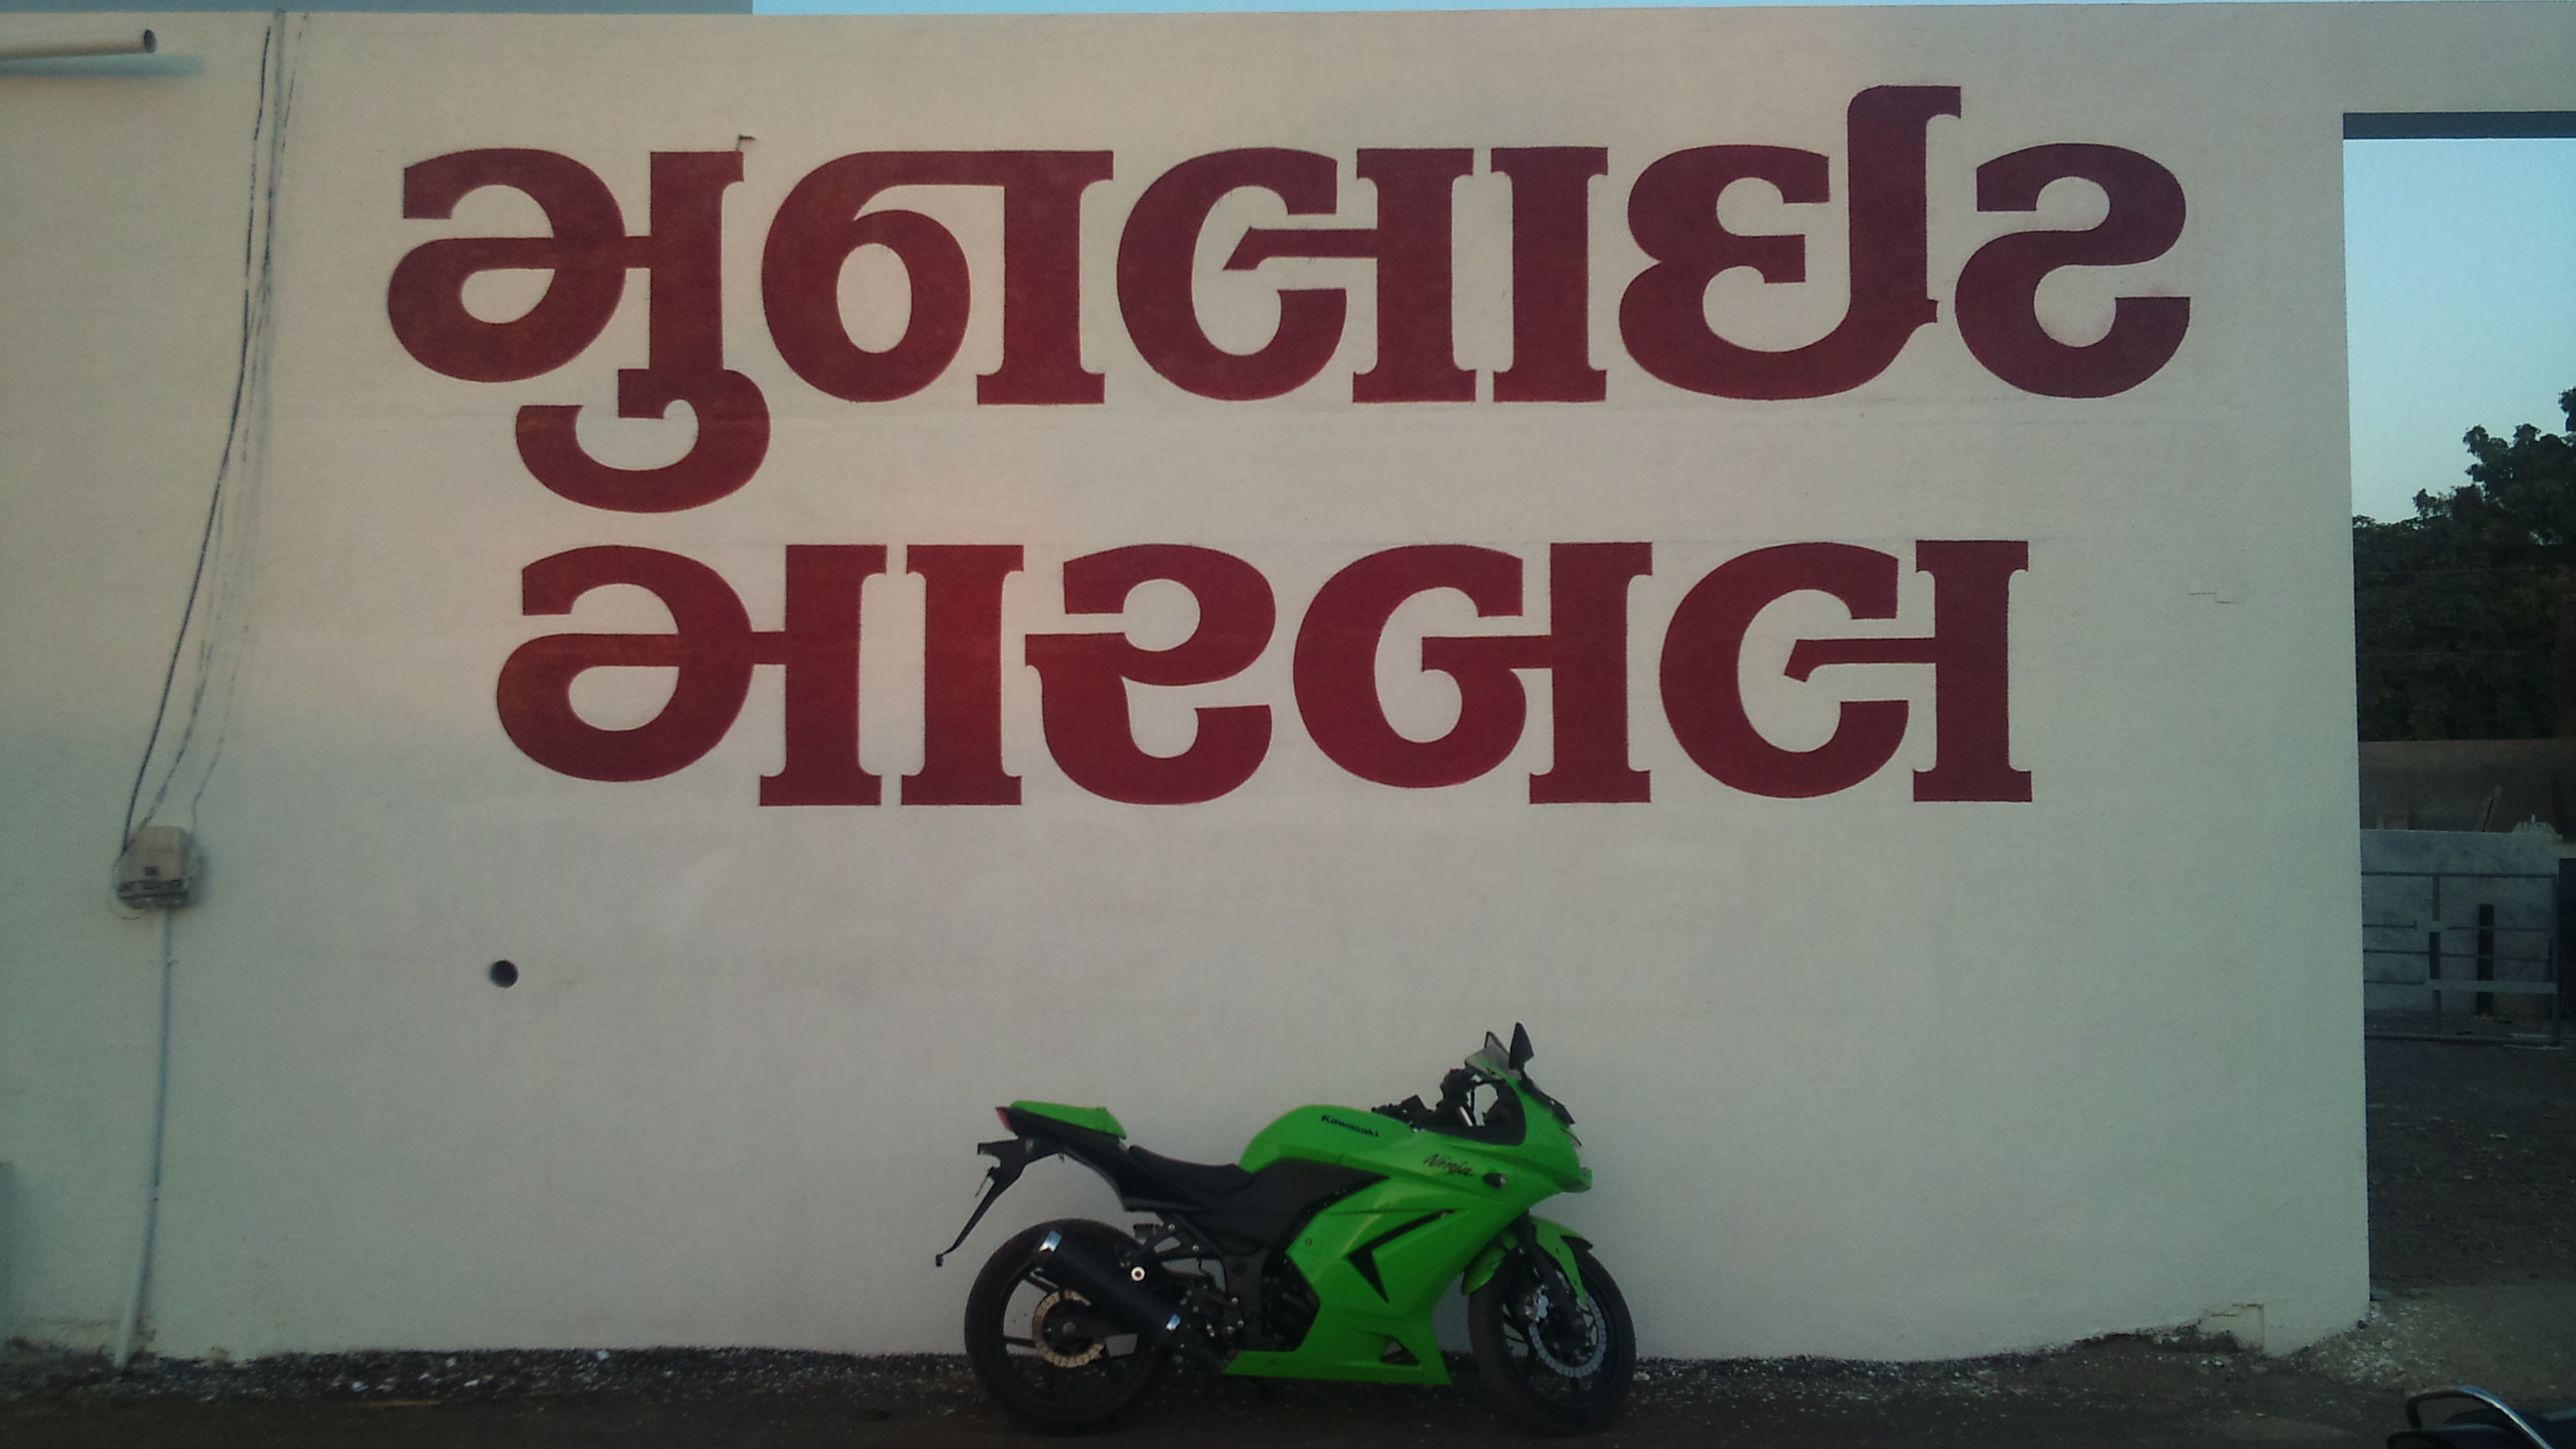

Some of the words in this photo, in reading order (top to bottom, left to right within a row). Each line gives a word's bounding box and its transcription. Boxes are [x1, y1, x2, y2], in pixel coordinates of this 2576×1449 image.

[363, 63, 2211, 529] મુનલાઈટ
[467, 529, 2052, 833] મારબલ